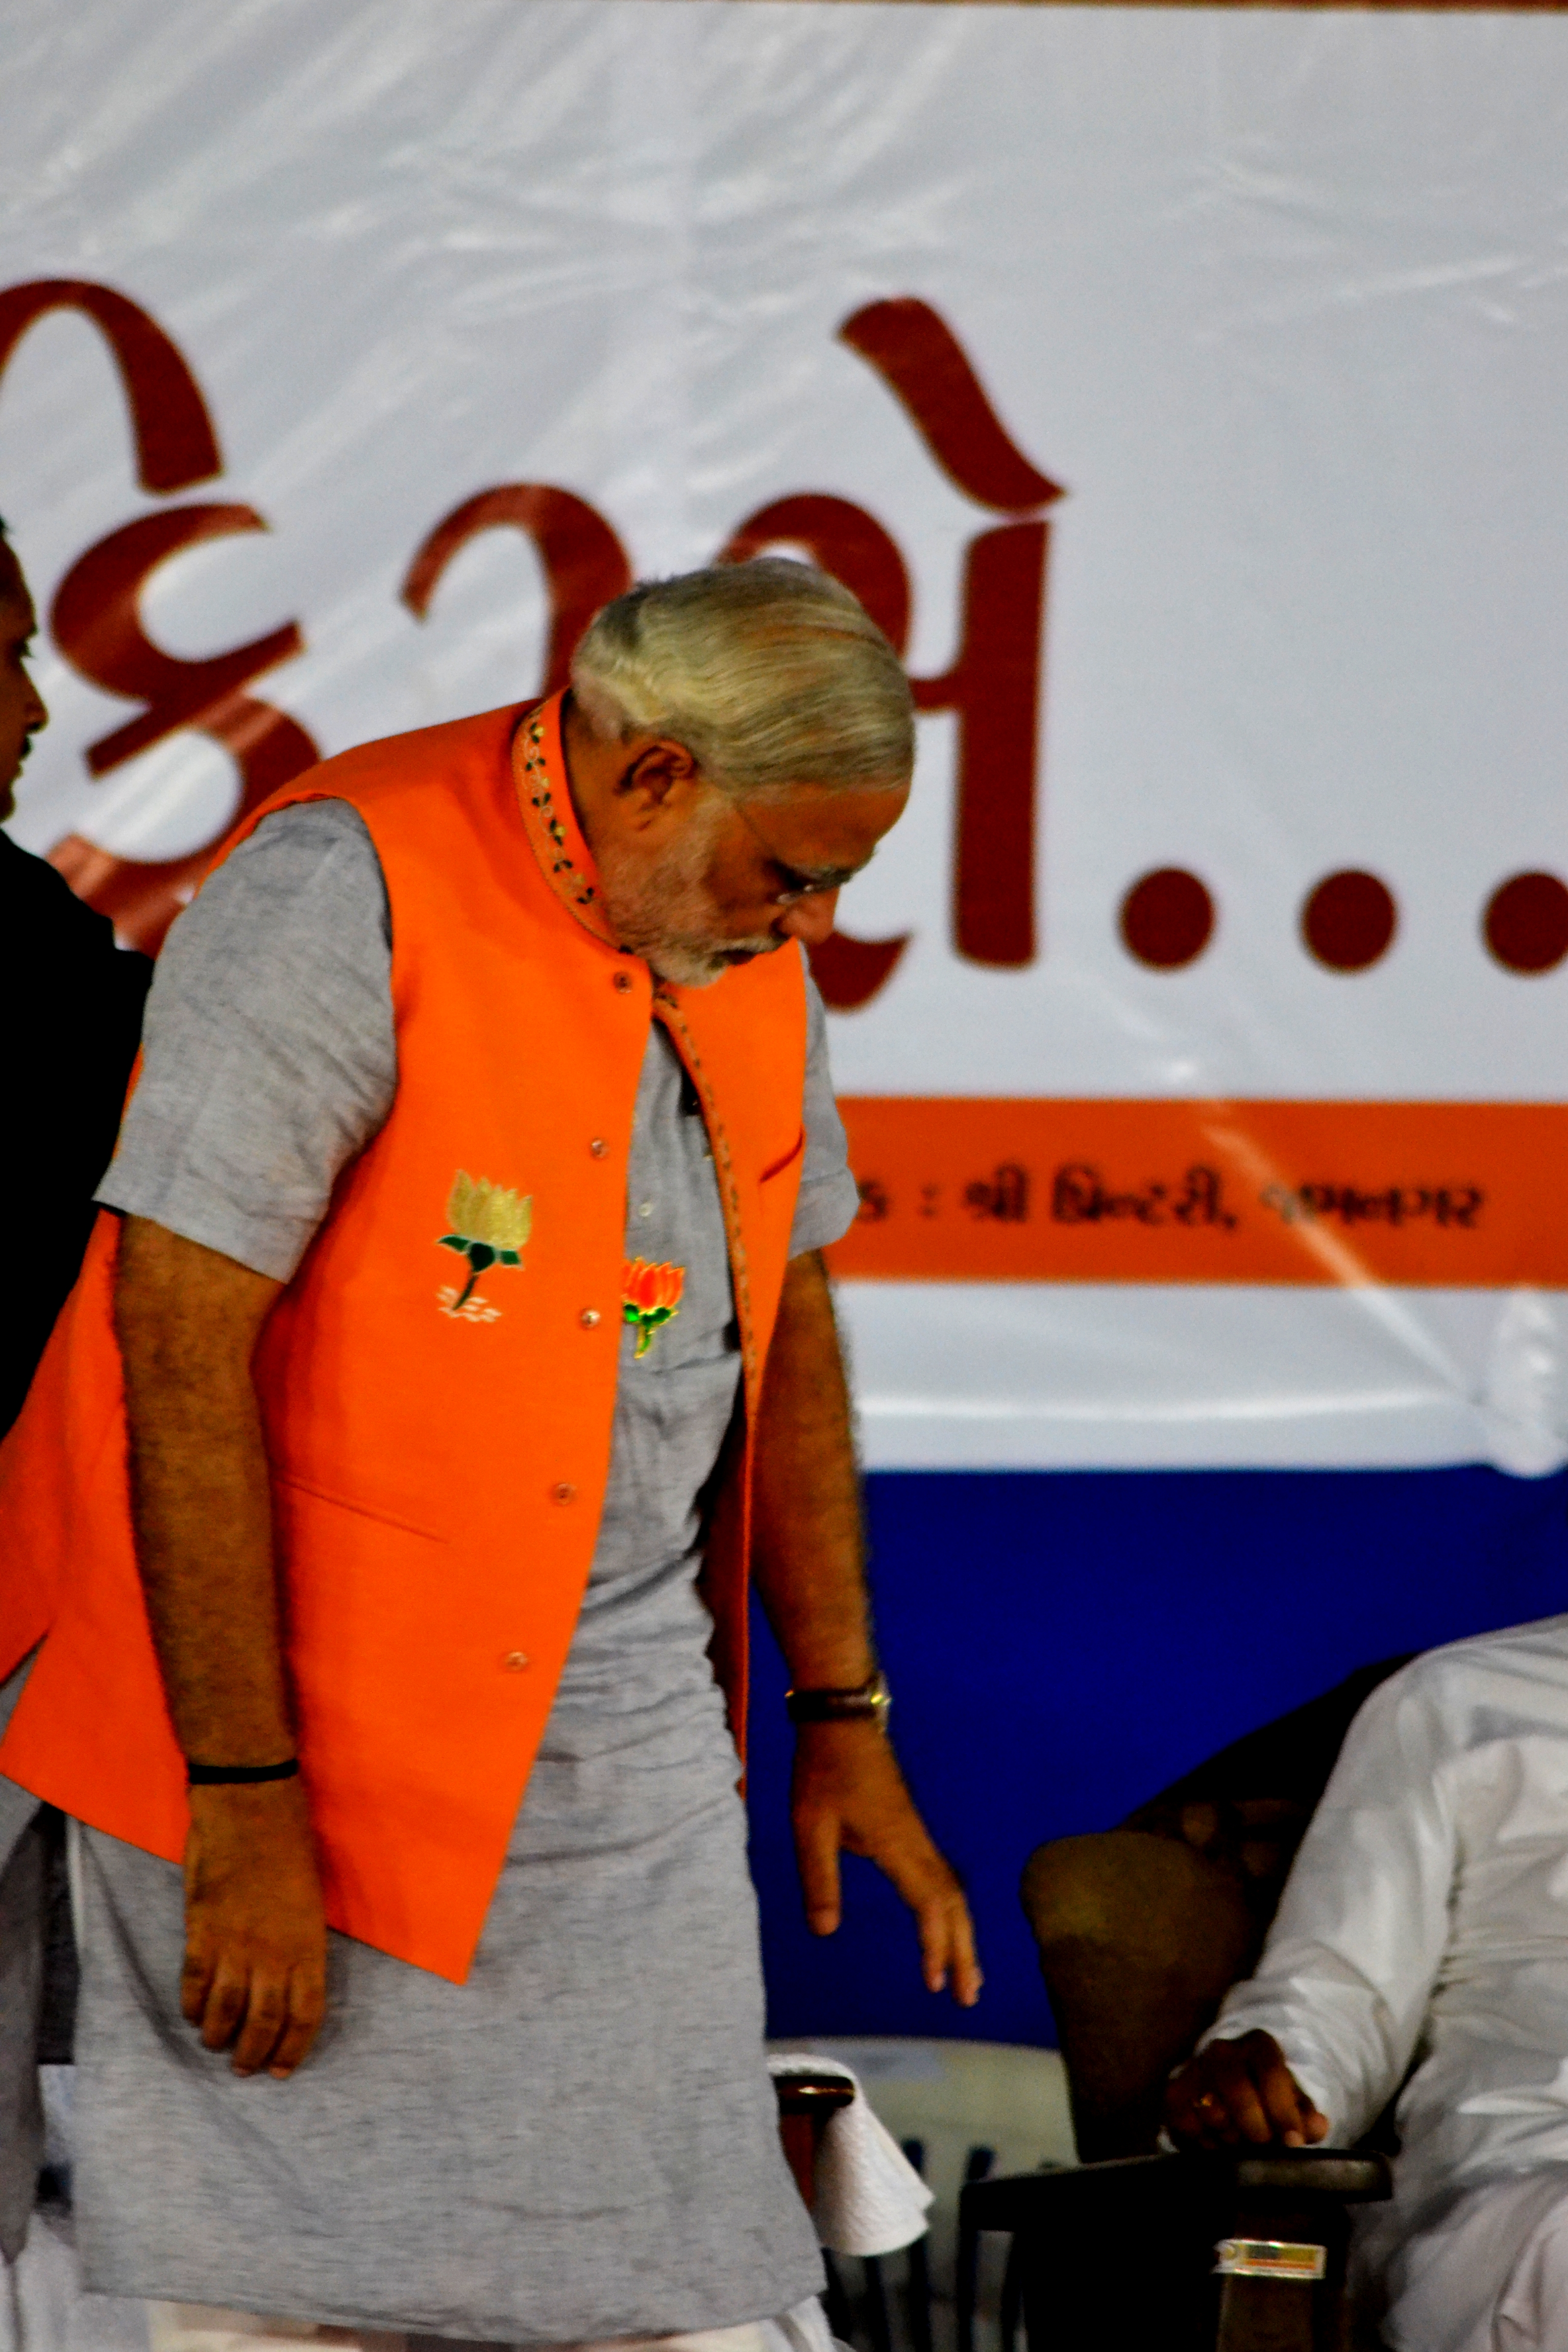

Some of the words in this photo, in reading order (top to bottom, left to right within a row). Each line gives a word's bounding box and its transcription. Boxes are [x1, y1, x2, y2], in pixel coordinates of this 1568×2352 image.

[952, 1140, 1236, 1241] શ્રી પ્રિન્ટરી
[1300, 1170, 1483, 1241] મનગર